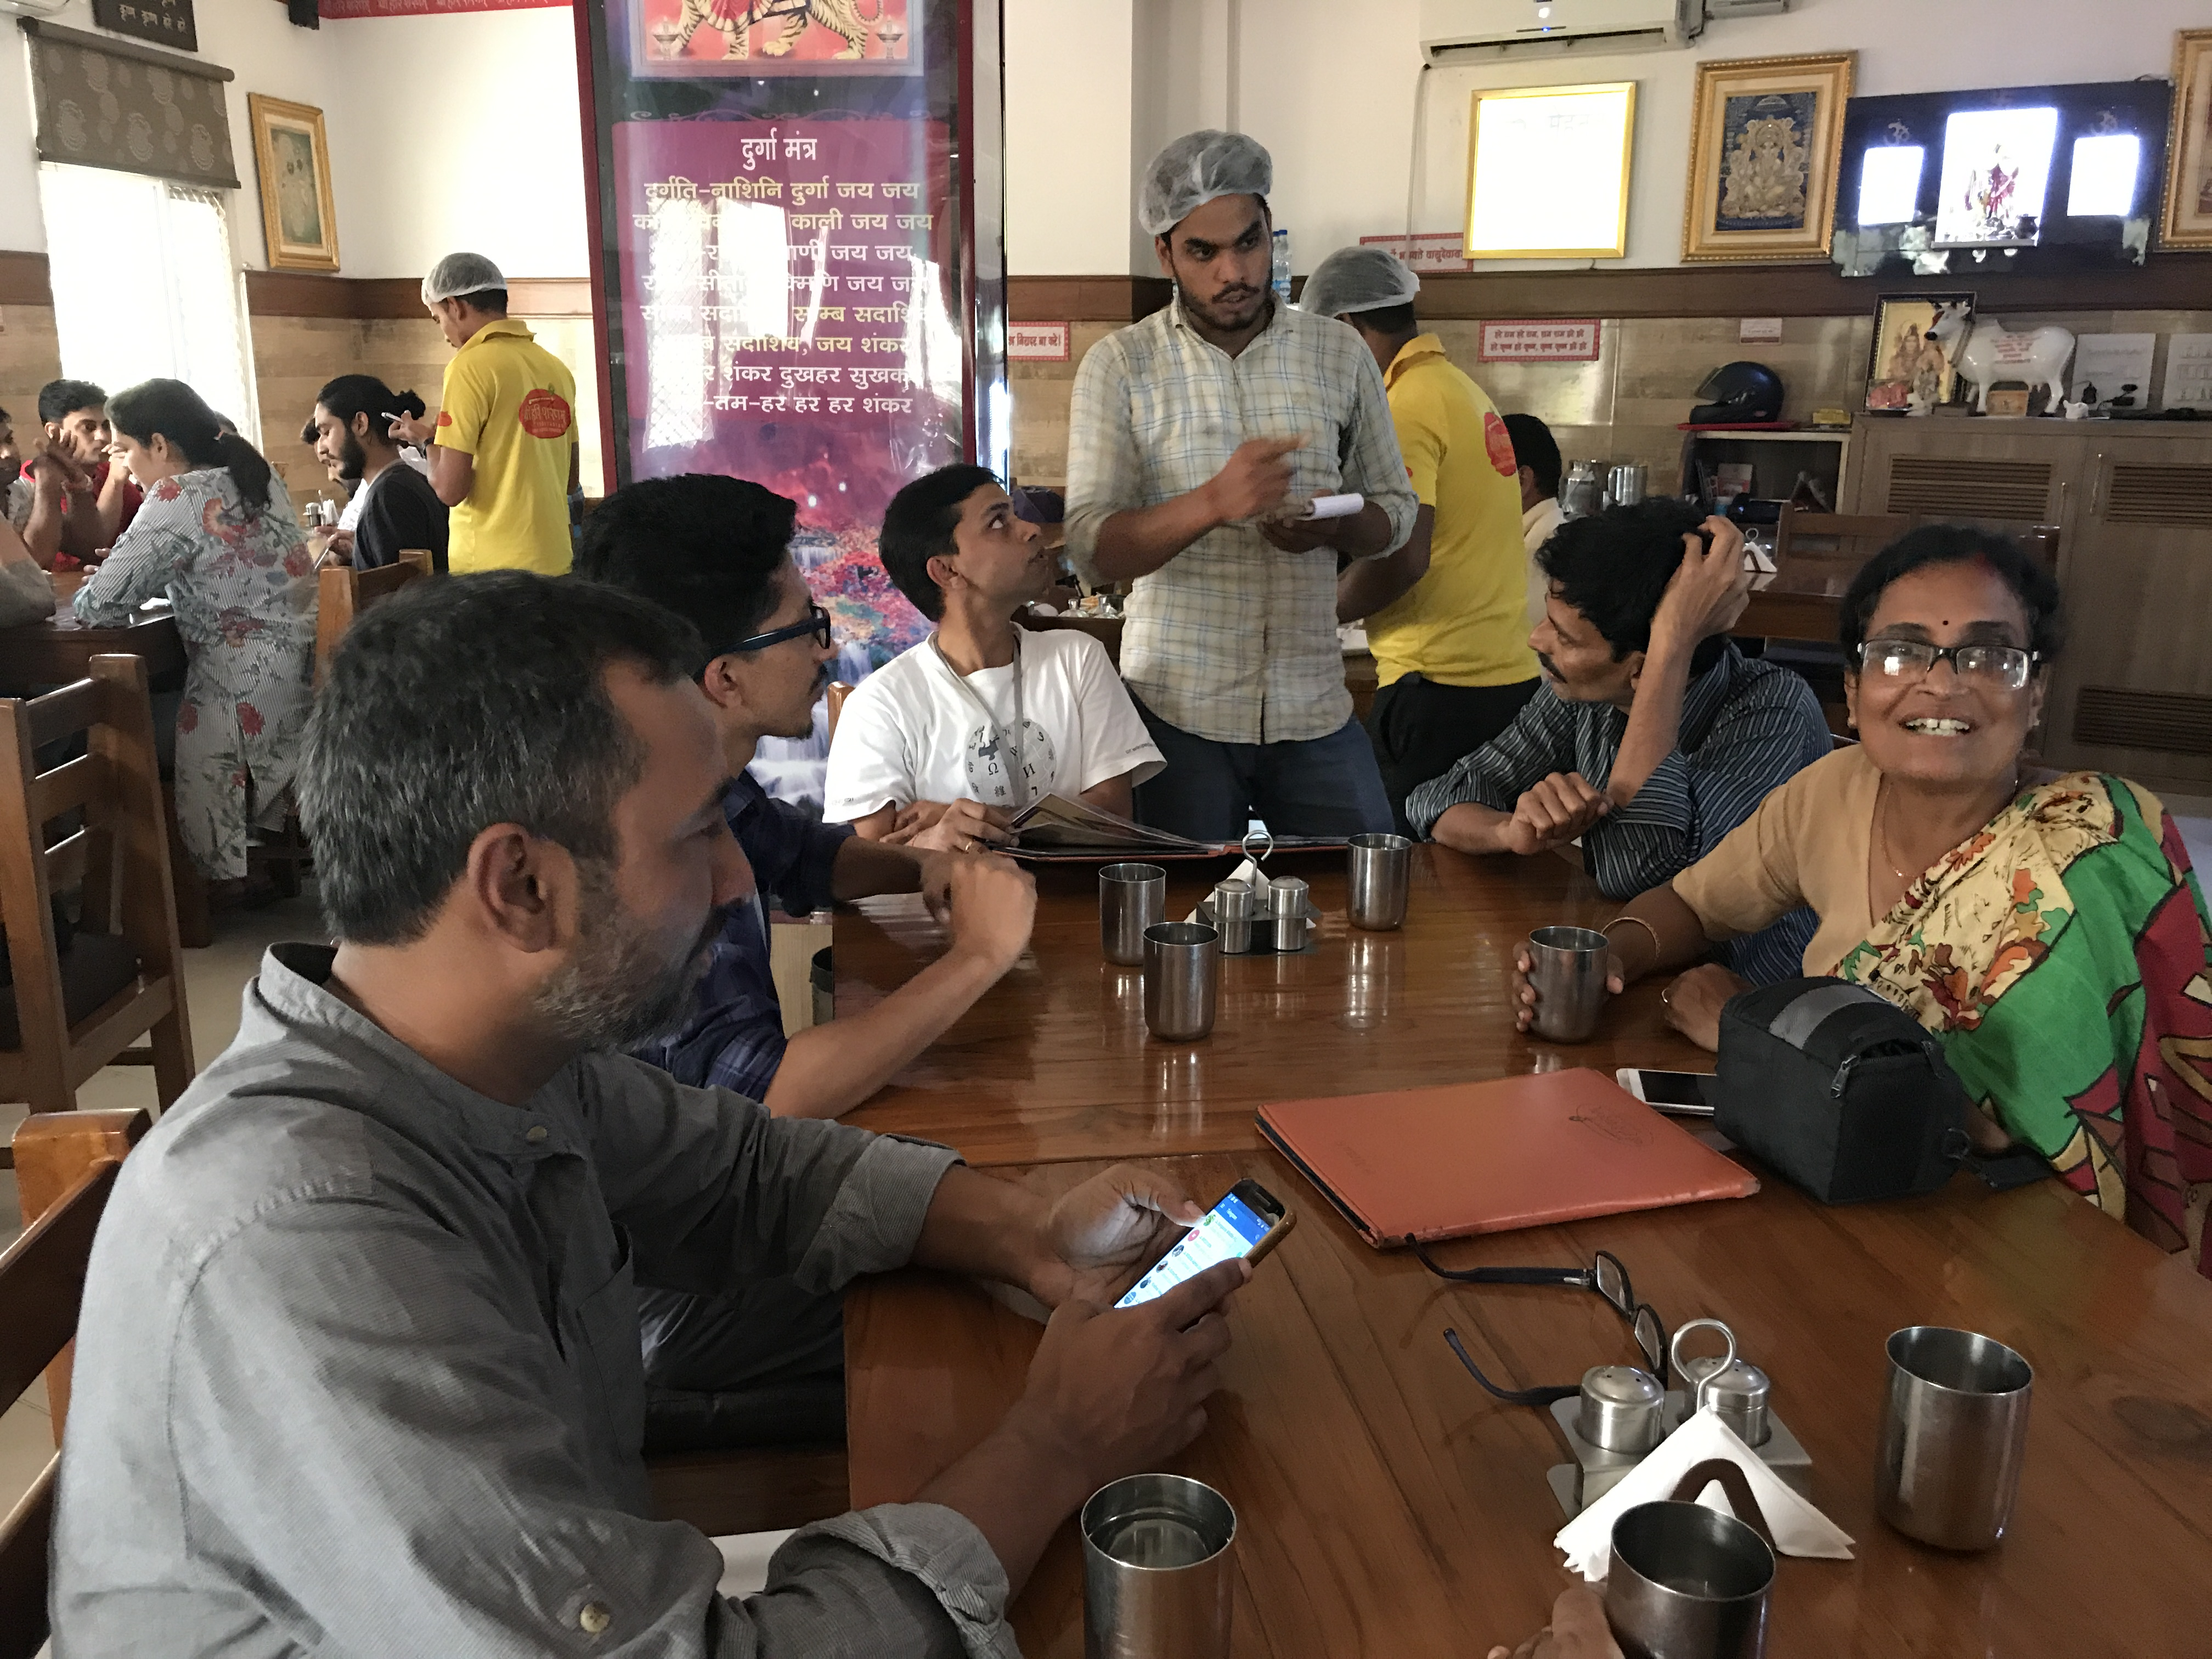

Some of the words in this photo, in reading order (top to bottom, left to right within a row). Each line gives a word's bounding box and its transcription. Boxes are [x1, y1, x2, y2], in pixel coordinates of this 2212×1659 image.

[739, 123, 780, 174] दुर्गा
[782, 127, 819, 163] मंत्र
[641, 172, 700, 210] दुर्गति
[710, 172, 785, 201] नाशिनि
[789, 171, 831, 209] दुर्गा
[836, 179, 876, 202] जय
[881, 180, 921, 202] जय
[788, 204, 845, 233] काली
[850, 211, 888, 233] जय
[894, 212, 934, 235] जय
[783, 235, 826, 265] णी
[829, 242, 869, 265] जय
[873, 244, 913, 264] जय
[695, 265, 747, 294] सीता
[847, 275, 885, 295] जय
[889, 274, 929, 296] ज
[701, 296, 761, 325] सद
[790, 303, 847, 325] सम्ब
[853, 299, 929, 325] सदाशि
[723, 329, 802, 355] सदाशिव
[813, 334, 855, 355] जय
[856, 328, 911, 356] शंकर
[720, 357, 774, 385] शंकर
[778, 365, 843, 392] दुखहर
[847, 365, 919, 392] सुखक
[712, 392, 750, 413] तम
[759, 392, 788, 414] हर
[793, 394, 822, 417] हर
[825, 394, 856, 417] हर
[860, 389, 915, 417] शंकर